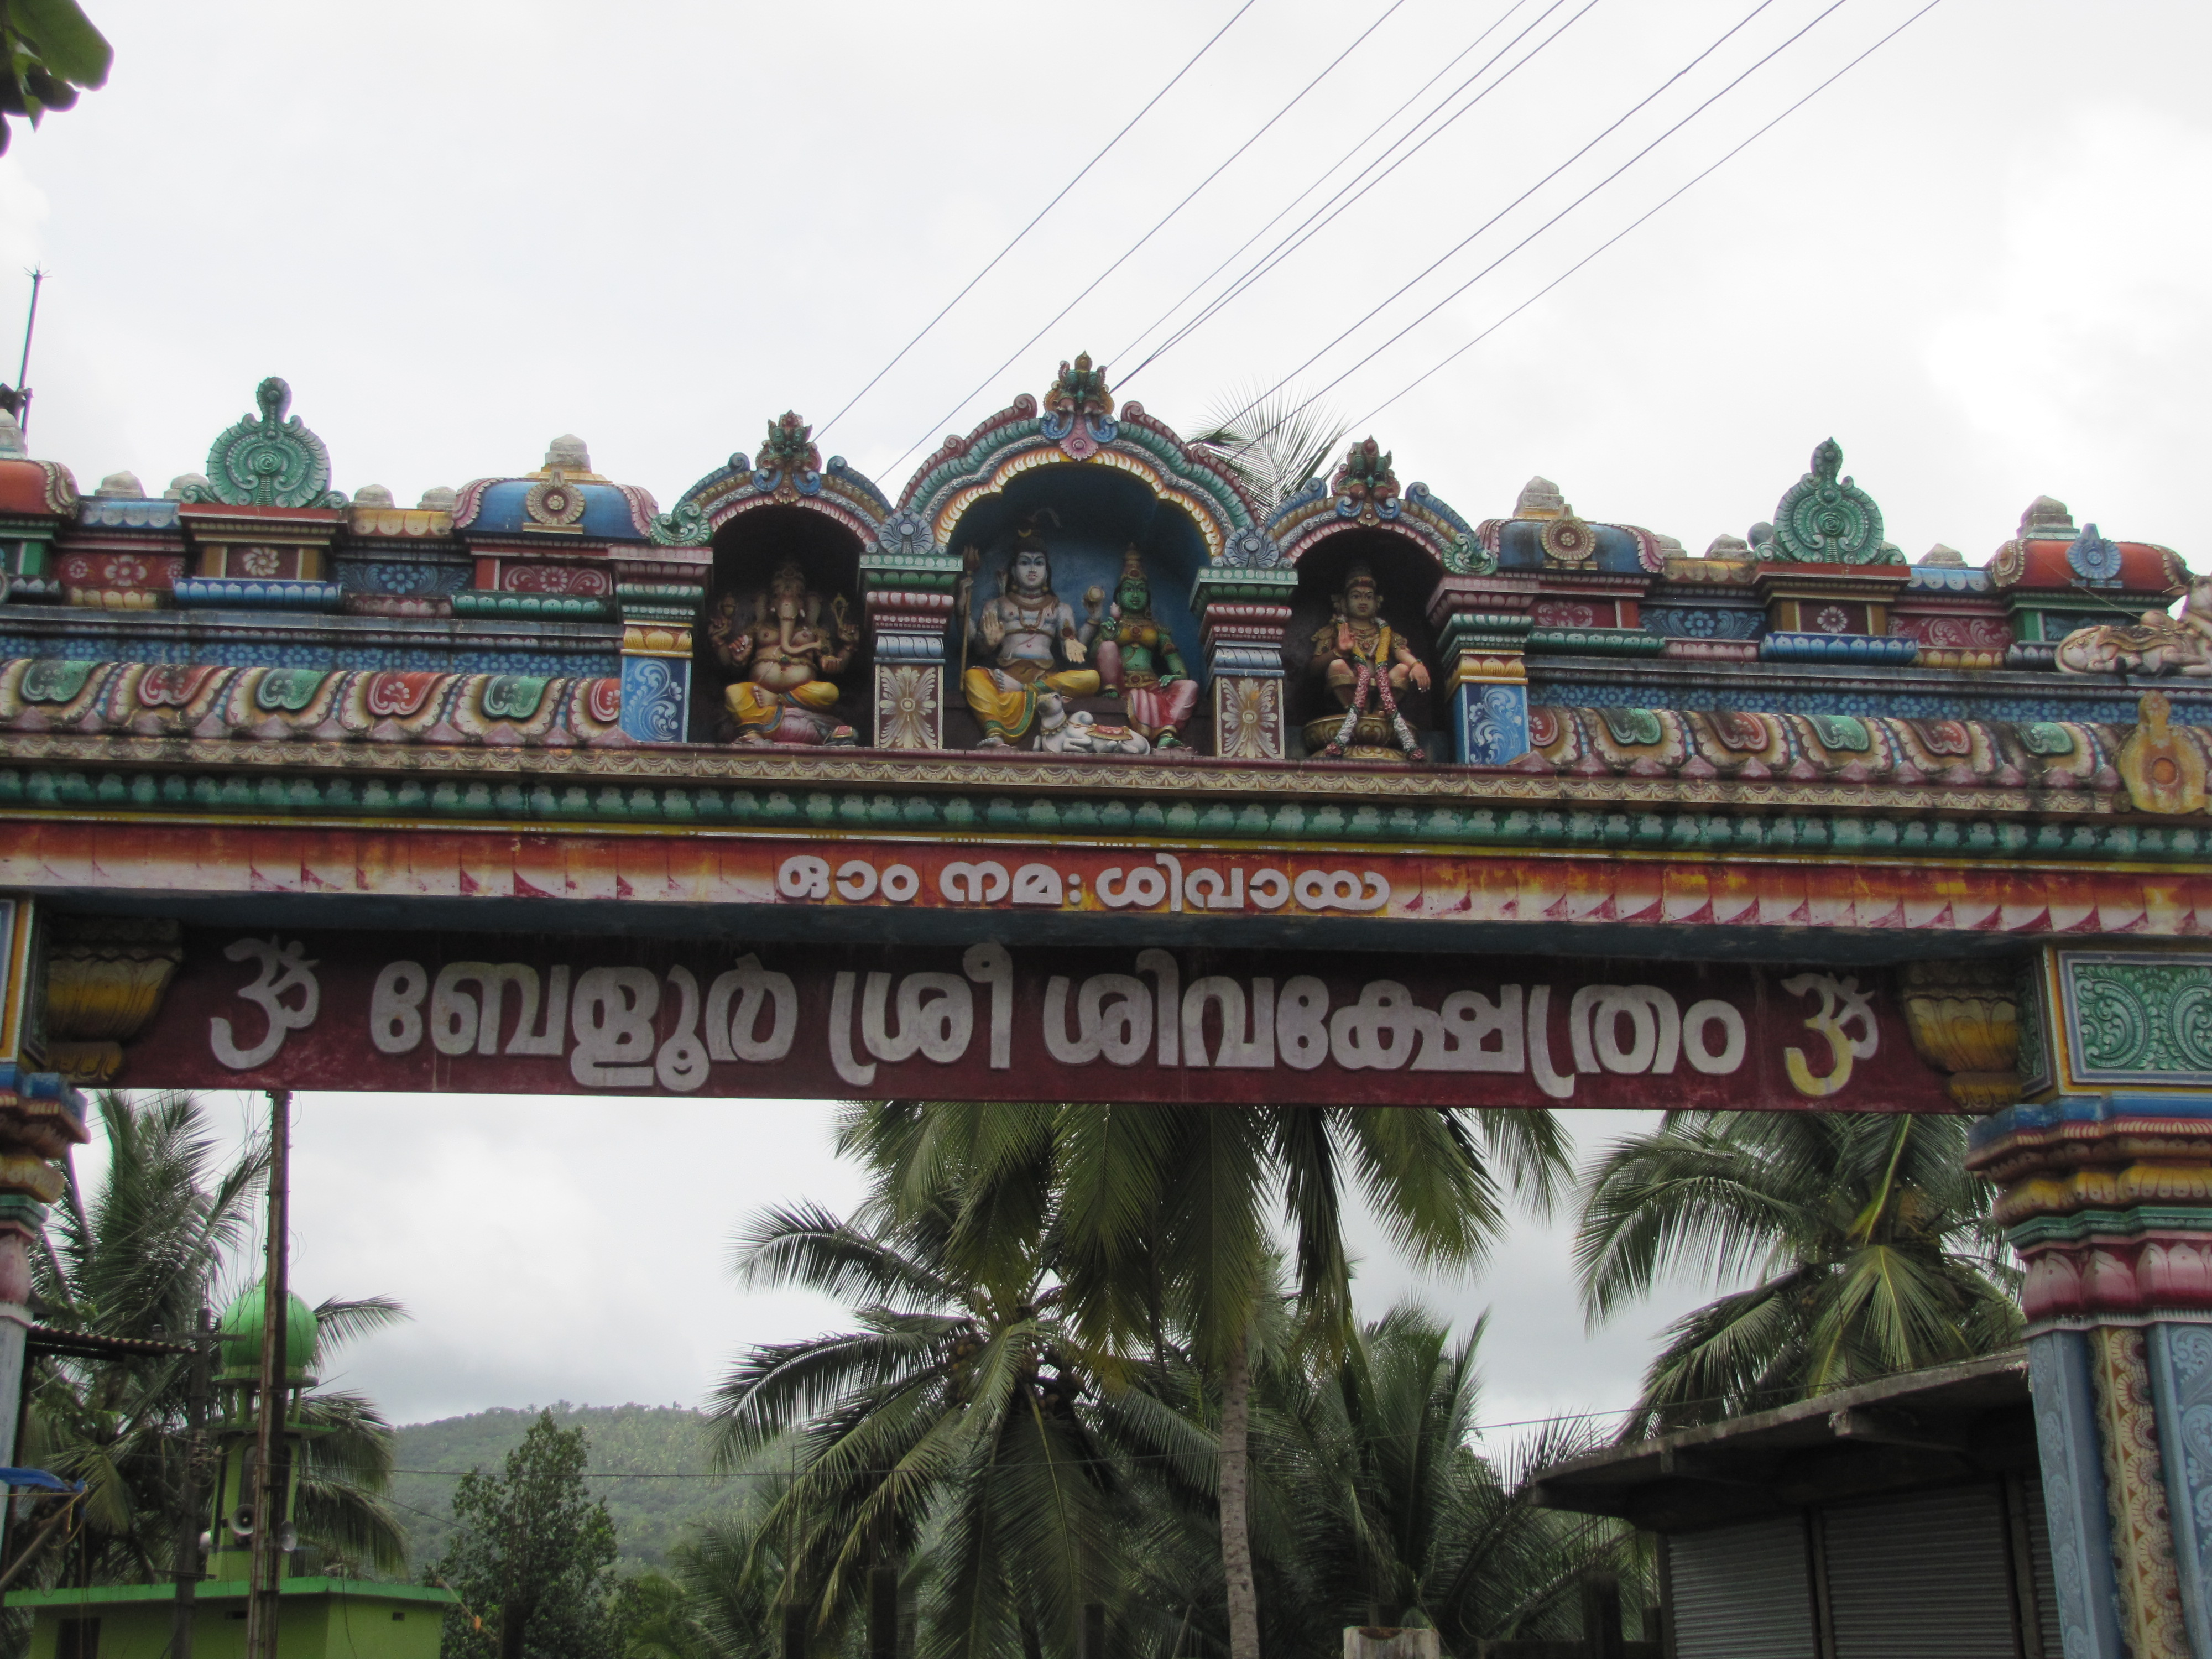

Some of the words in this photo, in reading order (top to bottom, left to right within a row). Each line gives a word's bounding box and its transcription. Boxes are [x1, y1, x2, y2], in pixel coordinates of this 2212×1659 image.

[776, 850, 922, 909] ഓം
[935, 854, 1072, 914] നമ
[1094, 847, 1398, 915] ശിവായ
[204, 931, 327, 1077] ॐ
[361, 946, 801, 1093] ബേളൂർ
[820, 933, 1015, 1088] ശ്രീ
[1032, 940, 1750, 1103] ശിവക്ഷേത്രം
[1777, 963, 1884, 1102] ॐ